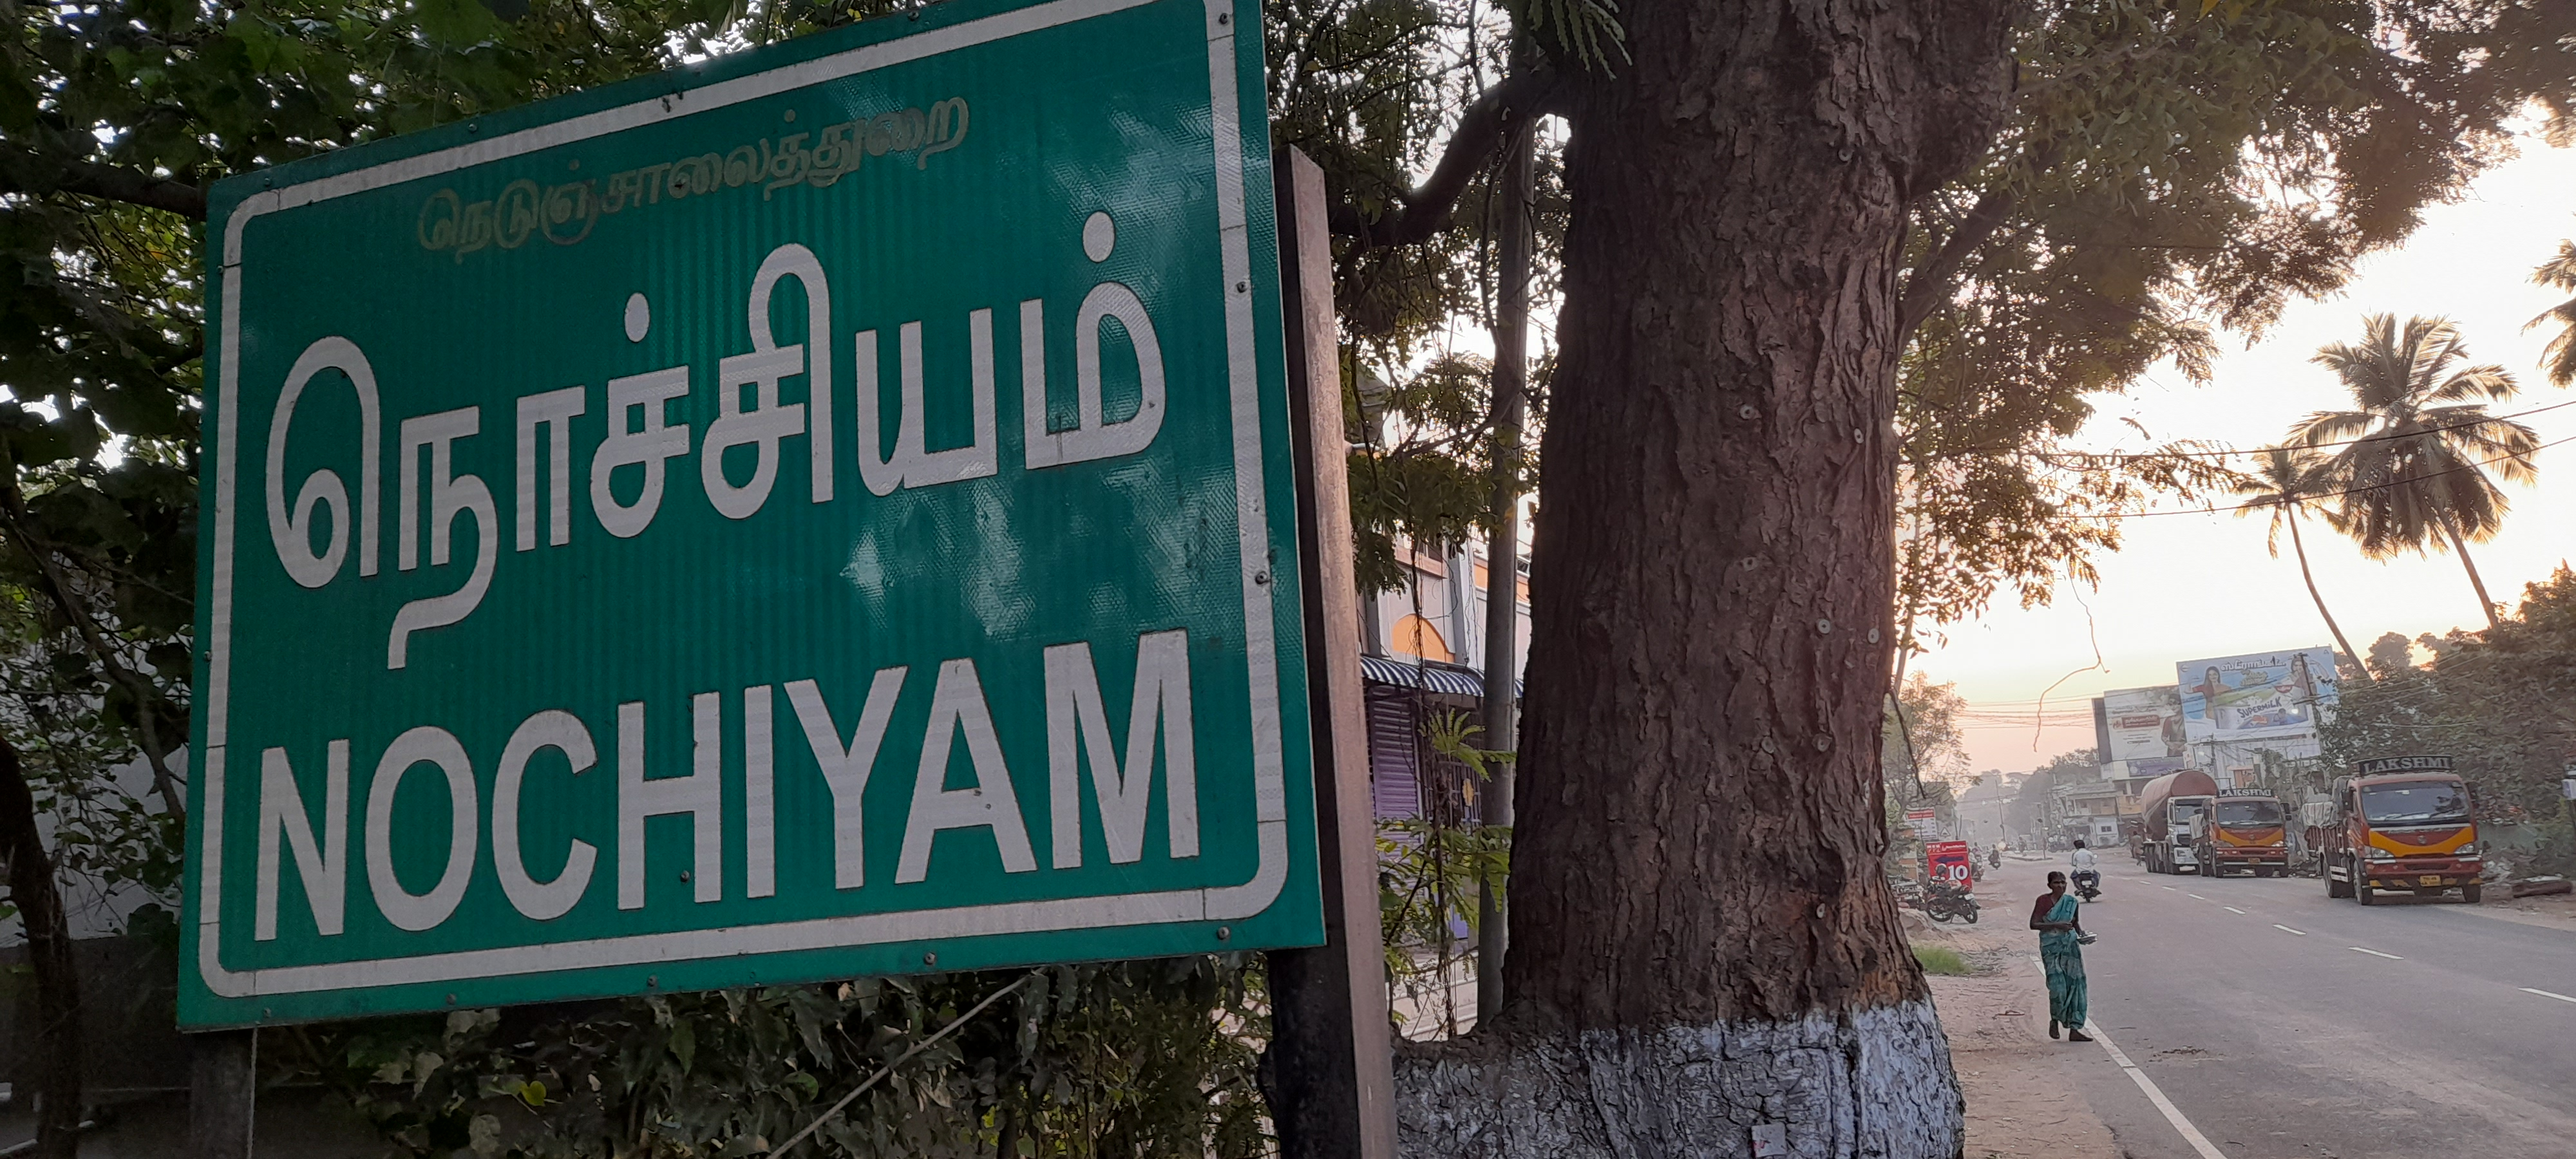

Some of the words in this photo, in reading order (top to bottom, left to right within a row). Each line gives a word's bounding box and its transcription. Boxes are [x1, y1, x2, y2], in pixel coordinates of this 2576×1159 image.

[410, 86, 974, 268] நெடுஞ்சாலைத்துறை
[256, 199, 1170, 680] நொச்சியம்
[251, 622, 1207, 945] NOCHIYAM